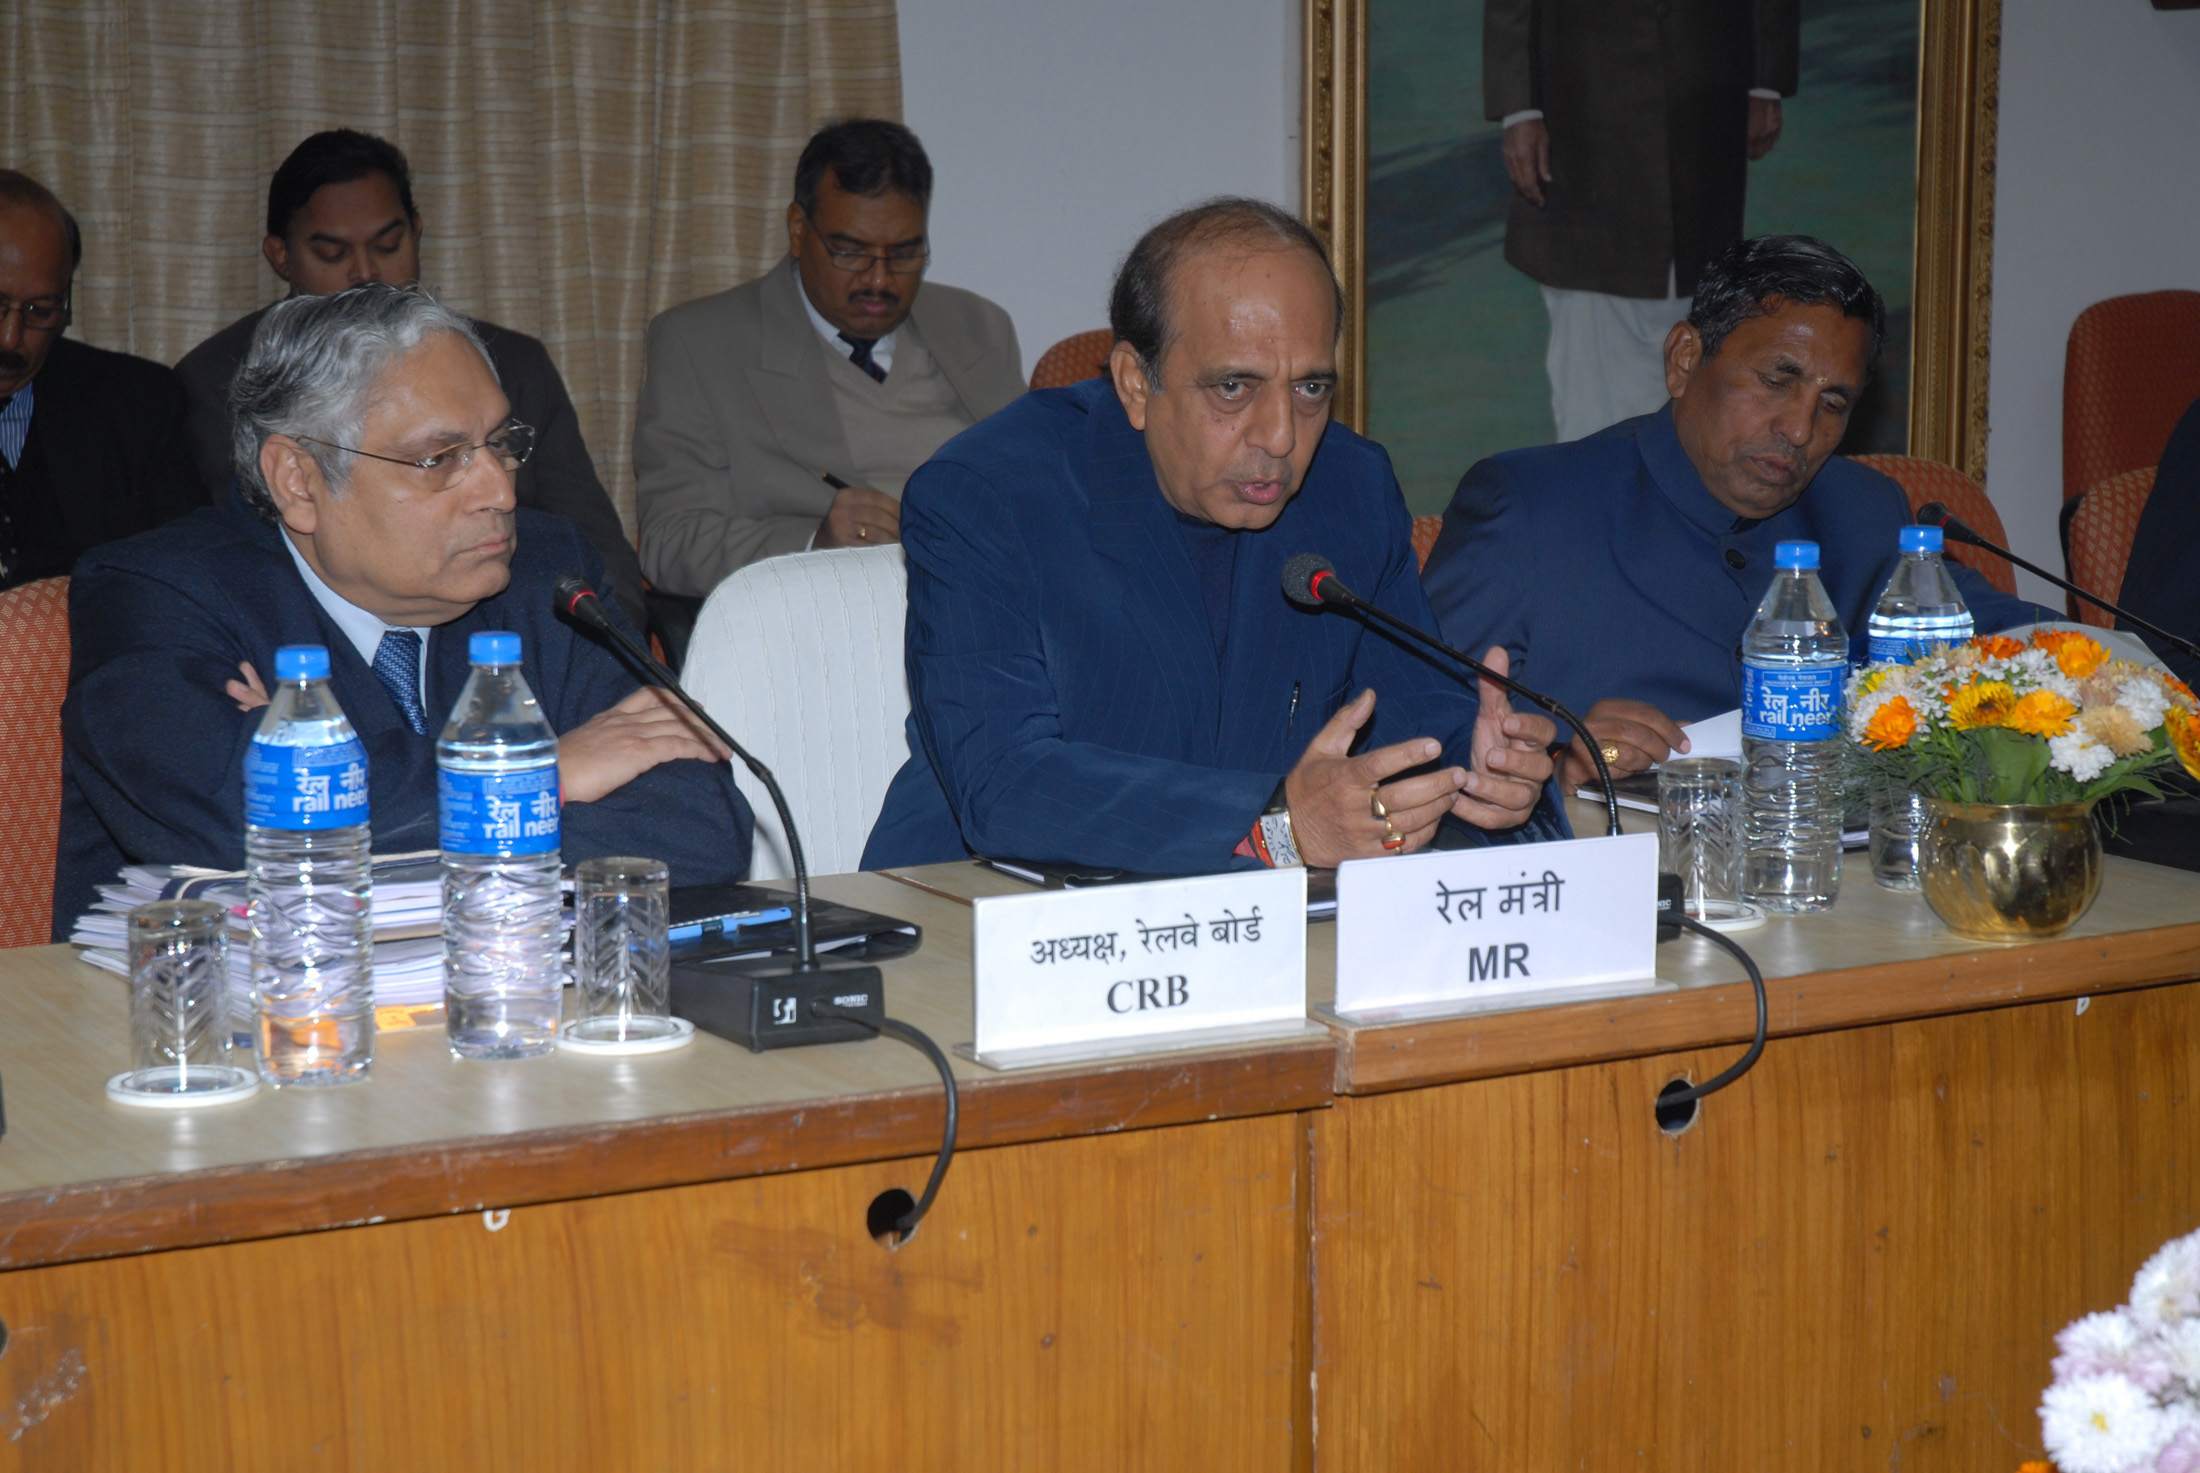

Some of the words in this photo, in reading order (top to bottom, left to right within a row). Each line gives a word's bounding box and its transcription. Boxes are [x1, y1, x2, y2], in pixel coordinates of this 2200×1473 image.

[1029, 927, 1125, 970] अध्यक्ष
[1131, 911, 1204, 957] रेलवे
[1200, 897, 1269, 951] बोर्ड
[1431, 877, 1491, 936] रेल
[1456, 935, 1536, 993] MR
[1485, 863, 1569, 923] मंत्री
[1098, 969, 1192, 1021] CRB